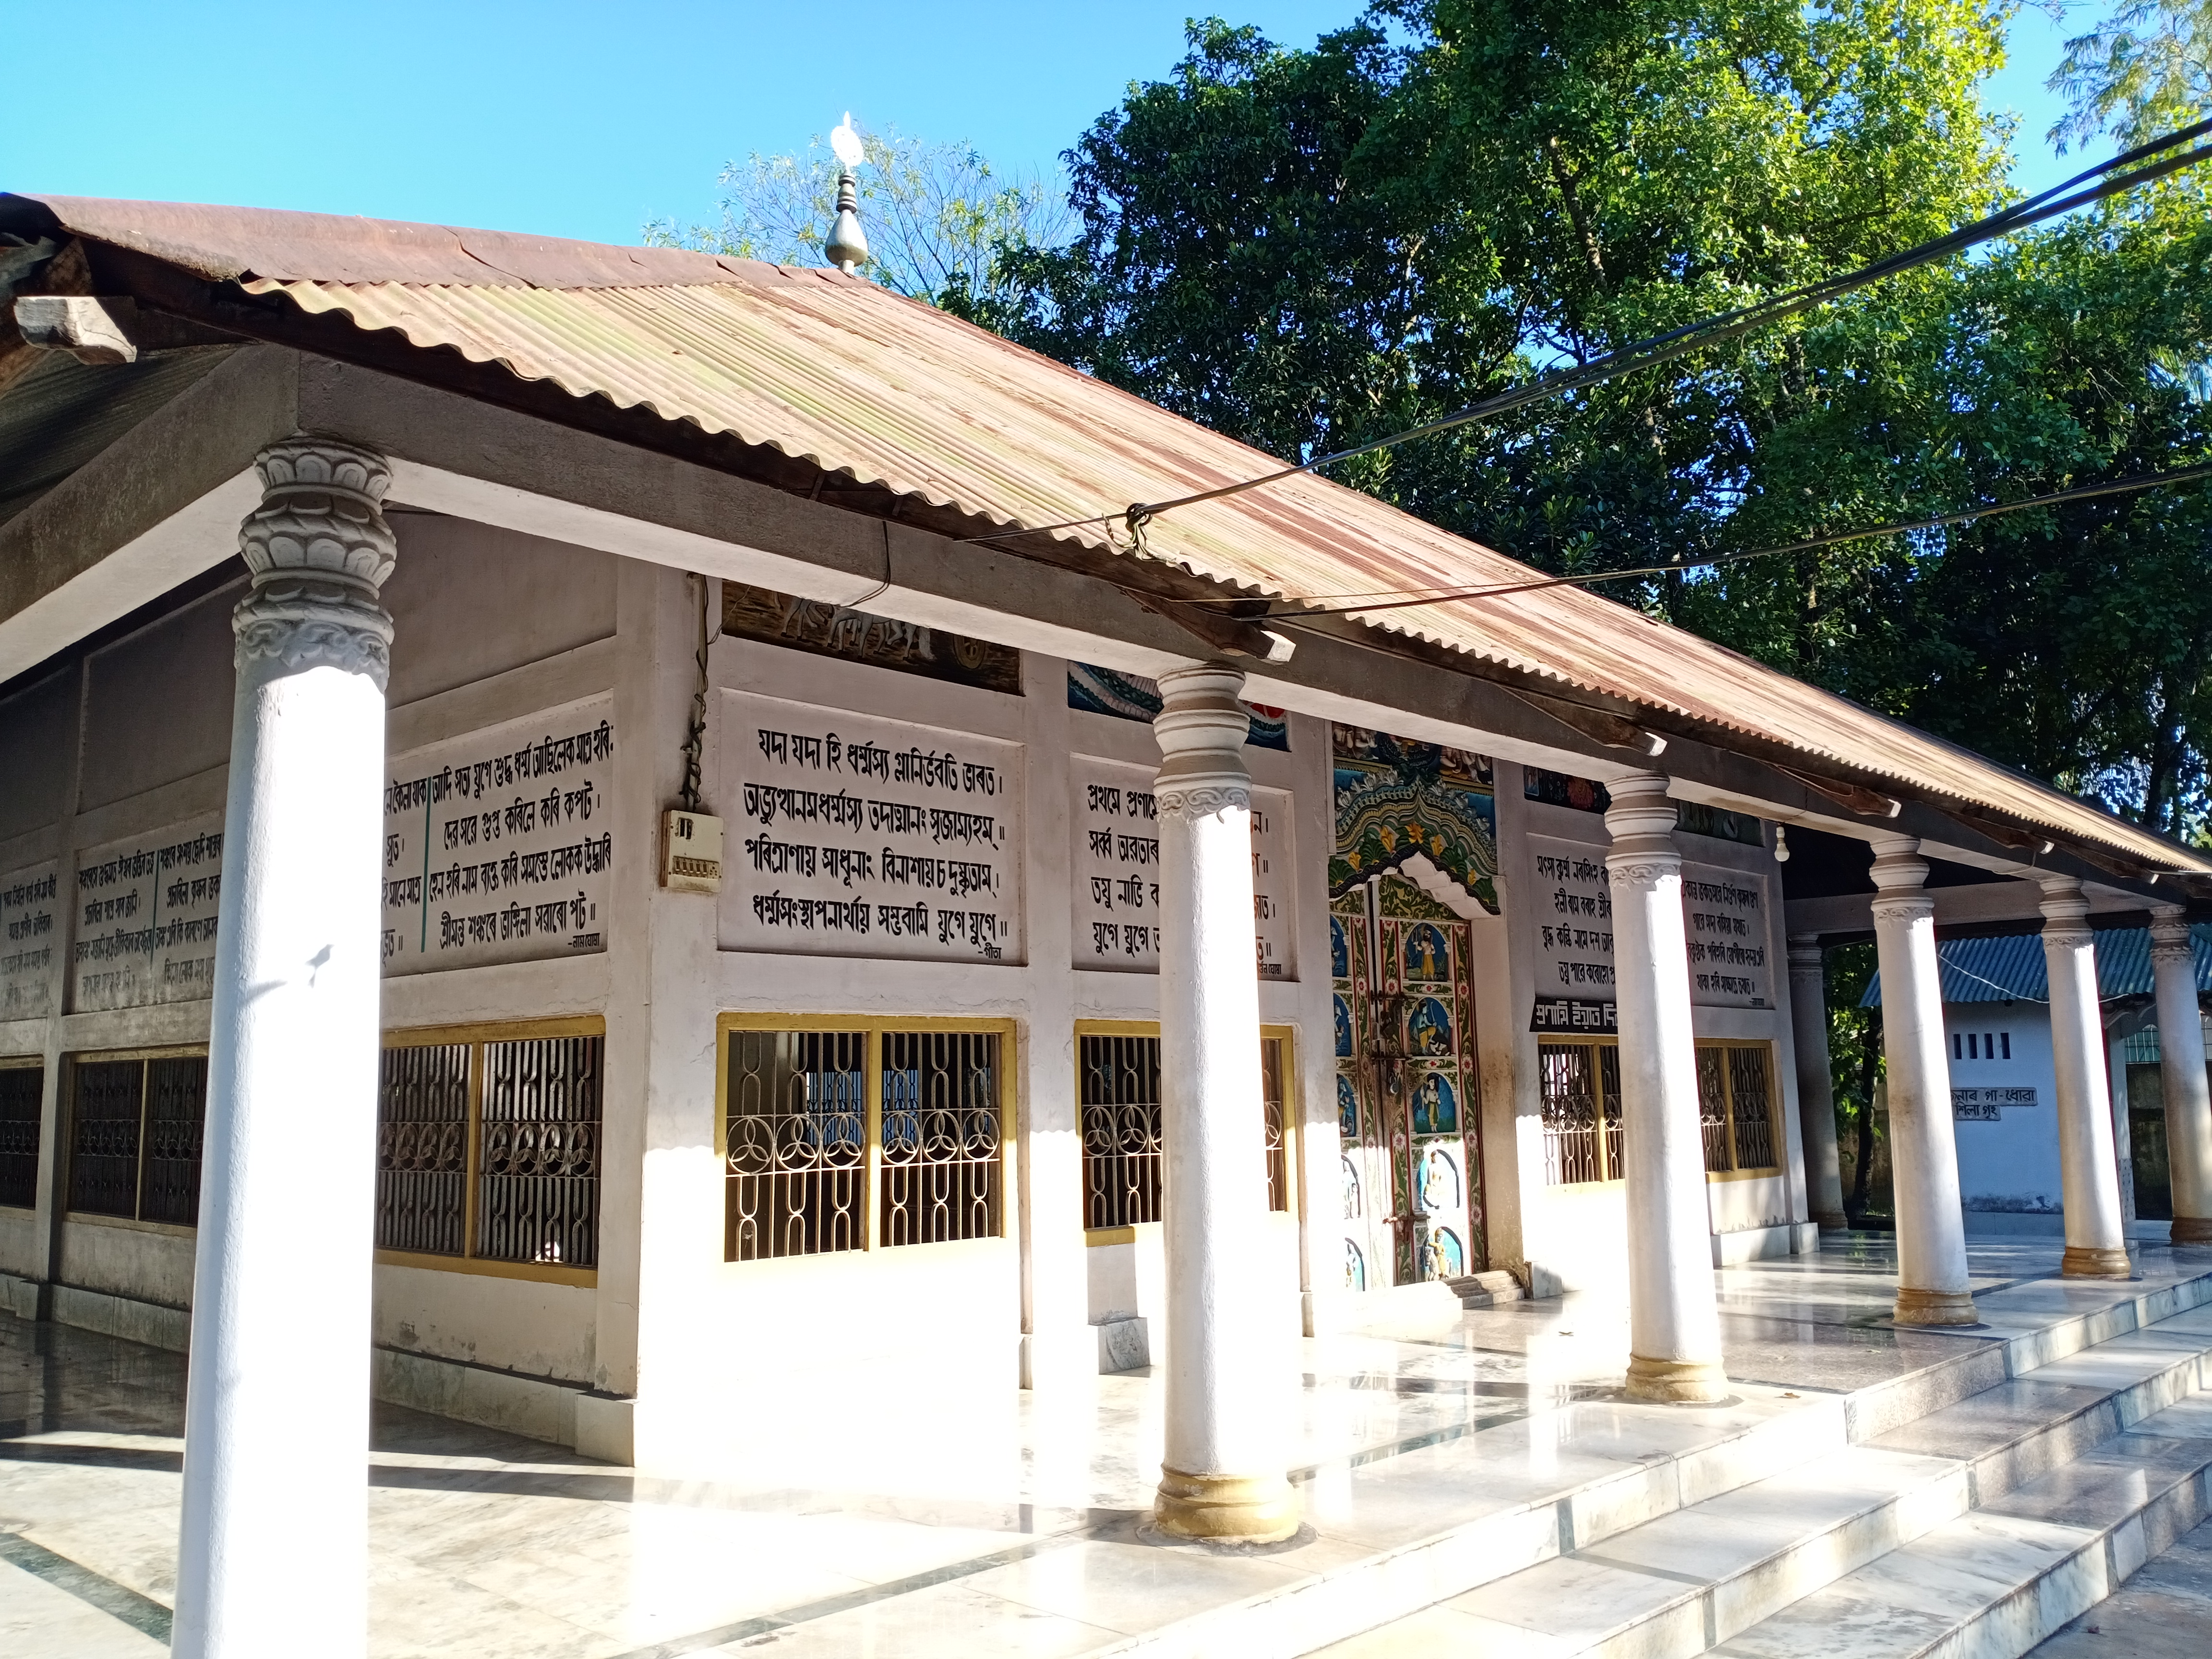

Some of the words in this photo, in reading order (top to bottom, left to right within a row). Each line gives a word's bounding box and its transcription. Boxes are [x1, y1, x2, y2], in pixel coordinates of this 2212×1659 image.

[29, 906, 54, 937] অধিকাৰ৷
[101, 895, 118, 925] শাস্ৰ
[113, 886, 142, 921] সাৰ জানি
[153, 839, 179, 874] শঙ্কৰে
[164, 873, 192, 910] প্ৰচাৰিলা
[187, 875, 211, 914] কৃষ্ণৰ
[174, 827, 226, 869] সংশয় ছেদিশাস্তৰ
[182, 913, 220, 946] কাৰণে৷আমৰ
[383, 829, 408, 873] সুত৷
[382, 874, 425, 913] হ মানে মাত্র
[383, 774, 431, 818] নকৈনাযাক
[428, 760, 456, 805] আদি
[427, 857, 464, 906] হেনহৰি
[435, 903, 470, 952] শ্ৰীমন্ত
[442, 812, 482, 853] দের সরে
[451, 763, 475, 802] সত্য
[459, 861, 482, 898] নাম
[469, 756, 495, 803] যুগে
[465, 909, 500, 947] শঙ্কৰে
[478, 856, 503, 899] ব্যক্ত
[479, 806, 504, 844] গুপ্ত
[491, 749, 516, 792] শুদ্ধ
[498, 848, 522, 892] কৰি
[498, 897, 535, 942] ভাঙ্গিলা
[503, 793, 539, 836] কৰিলে
[512, 738, 536, 785] ধৰ্ম্ম
[518, 847, 552, 887] সমস্তে
[538, 783, 562, 831] কৰি
[531, 900, 570, 937] সৱাৰো
[531, 731, 579, 782] আছিলেক
[565, 885, 589, 932] পট
[561, 777, 597, 825] কপট
[548, 828, 614, 885] লোকক উদ্ধাৰি
[571, 928, 601, 952] নামঘোঘা
[573, 716, 618, 768] মাত্ৰ হৰিঃ
[743, 829, 821, 881] পৰিত্ৰাণায়
[755, 726, 827, 774] যদাযদা
[738, 779, 865, 832] অভ্যুত্থানম ধর্ম্মস্য
[752, 886, 873, 936] ধৰ্মসংস্থাপনার্থায়
[824, 726, 845, 775] হি
[821, 843, 874, 891] সাধুনাং
[842, 739, 893, 784] ধৰ্ম্মস্য
[866, 798, 928, 838] তদাআনং
[876, 898, 930, 939] সম্ভবামি
[878, 843, 950, 889] বিনাশায়চ
[892, 745, 962, 791] গ্লানির্ভবতি
[934, 906, 969, 949] যুগে
[928, 807, 1001, 853] সৃজাম্যহম্
[947, 858, 998, 902] দুষ্কৃঅম্
[959, 760, 998, 799] ভাৰত
[968, 908, 998, 950] যুগে
[980, 939, 1005, 962] গীতা
[1086, 824, 1114, 862] সৰ্ব্ব
[1088, 874, 1114, 914] তযু
[1083, 782, 1124, 817] প্ৰথমে
[1091, 921, 1123, 959] যুগে
[1117, 872, 1145, 911] নাভি
[1122, 923, 1152, 962] যুগে
[1117, 832, 1162, 867] অৱতাৰ
[1255, 958, 1284, 976] শুন ঘোষা
[1538, 921, 1560, 952] বুদ্ধ
[1535, 850, 1574, 884] মৎস্য কুৰ্ম্ম
[1551, 882, 1570, 916] হনী
[1553, 919, 1574, 950] কল্কি
[1554, 958, 1587, 988] তযুপাৱে
[1566, 890, 1582, 917] ৰাম
[1572, 926, 1590, 952] নামে
[1571, 854, 1601, 886] নৰসিংহ
[1578, 892, 1599, 919] বৰাহ
[1586, 926, 1601, 953] দশ
[1585, 962, 1611, 987] কৰোহো
[1593, 889, 1610, 922] শ্ৰী
[1682, 936, 1707, 968] বকুণ্ঠক
[1688, 910, 1709, 935] গারে
[1694, 972, 1712, 994] থাকা
[1704, 911, 1719, 935] সদ্য
[1707, 967, 1724, 995] হৰি
[1705, 937, 1729, 965] পৰিহৰি
[1714, 909, 1735, 937] বসিয়া
[1729, 915, 1749, 938] যখাত
[1735, 888, 1761, 916] কৃষ্ণৰগুণ
[1948, 1084, 1980, 1106] জনাৰ
[1953, 1096, 1984, 1120] শিলা
[1980, 1099, 1999, 1124] গৃহ
[1982, 1086, 2000, 1103] গা
[2000, 1084, 2038, 1107] ধোরা